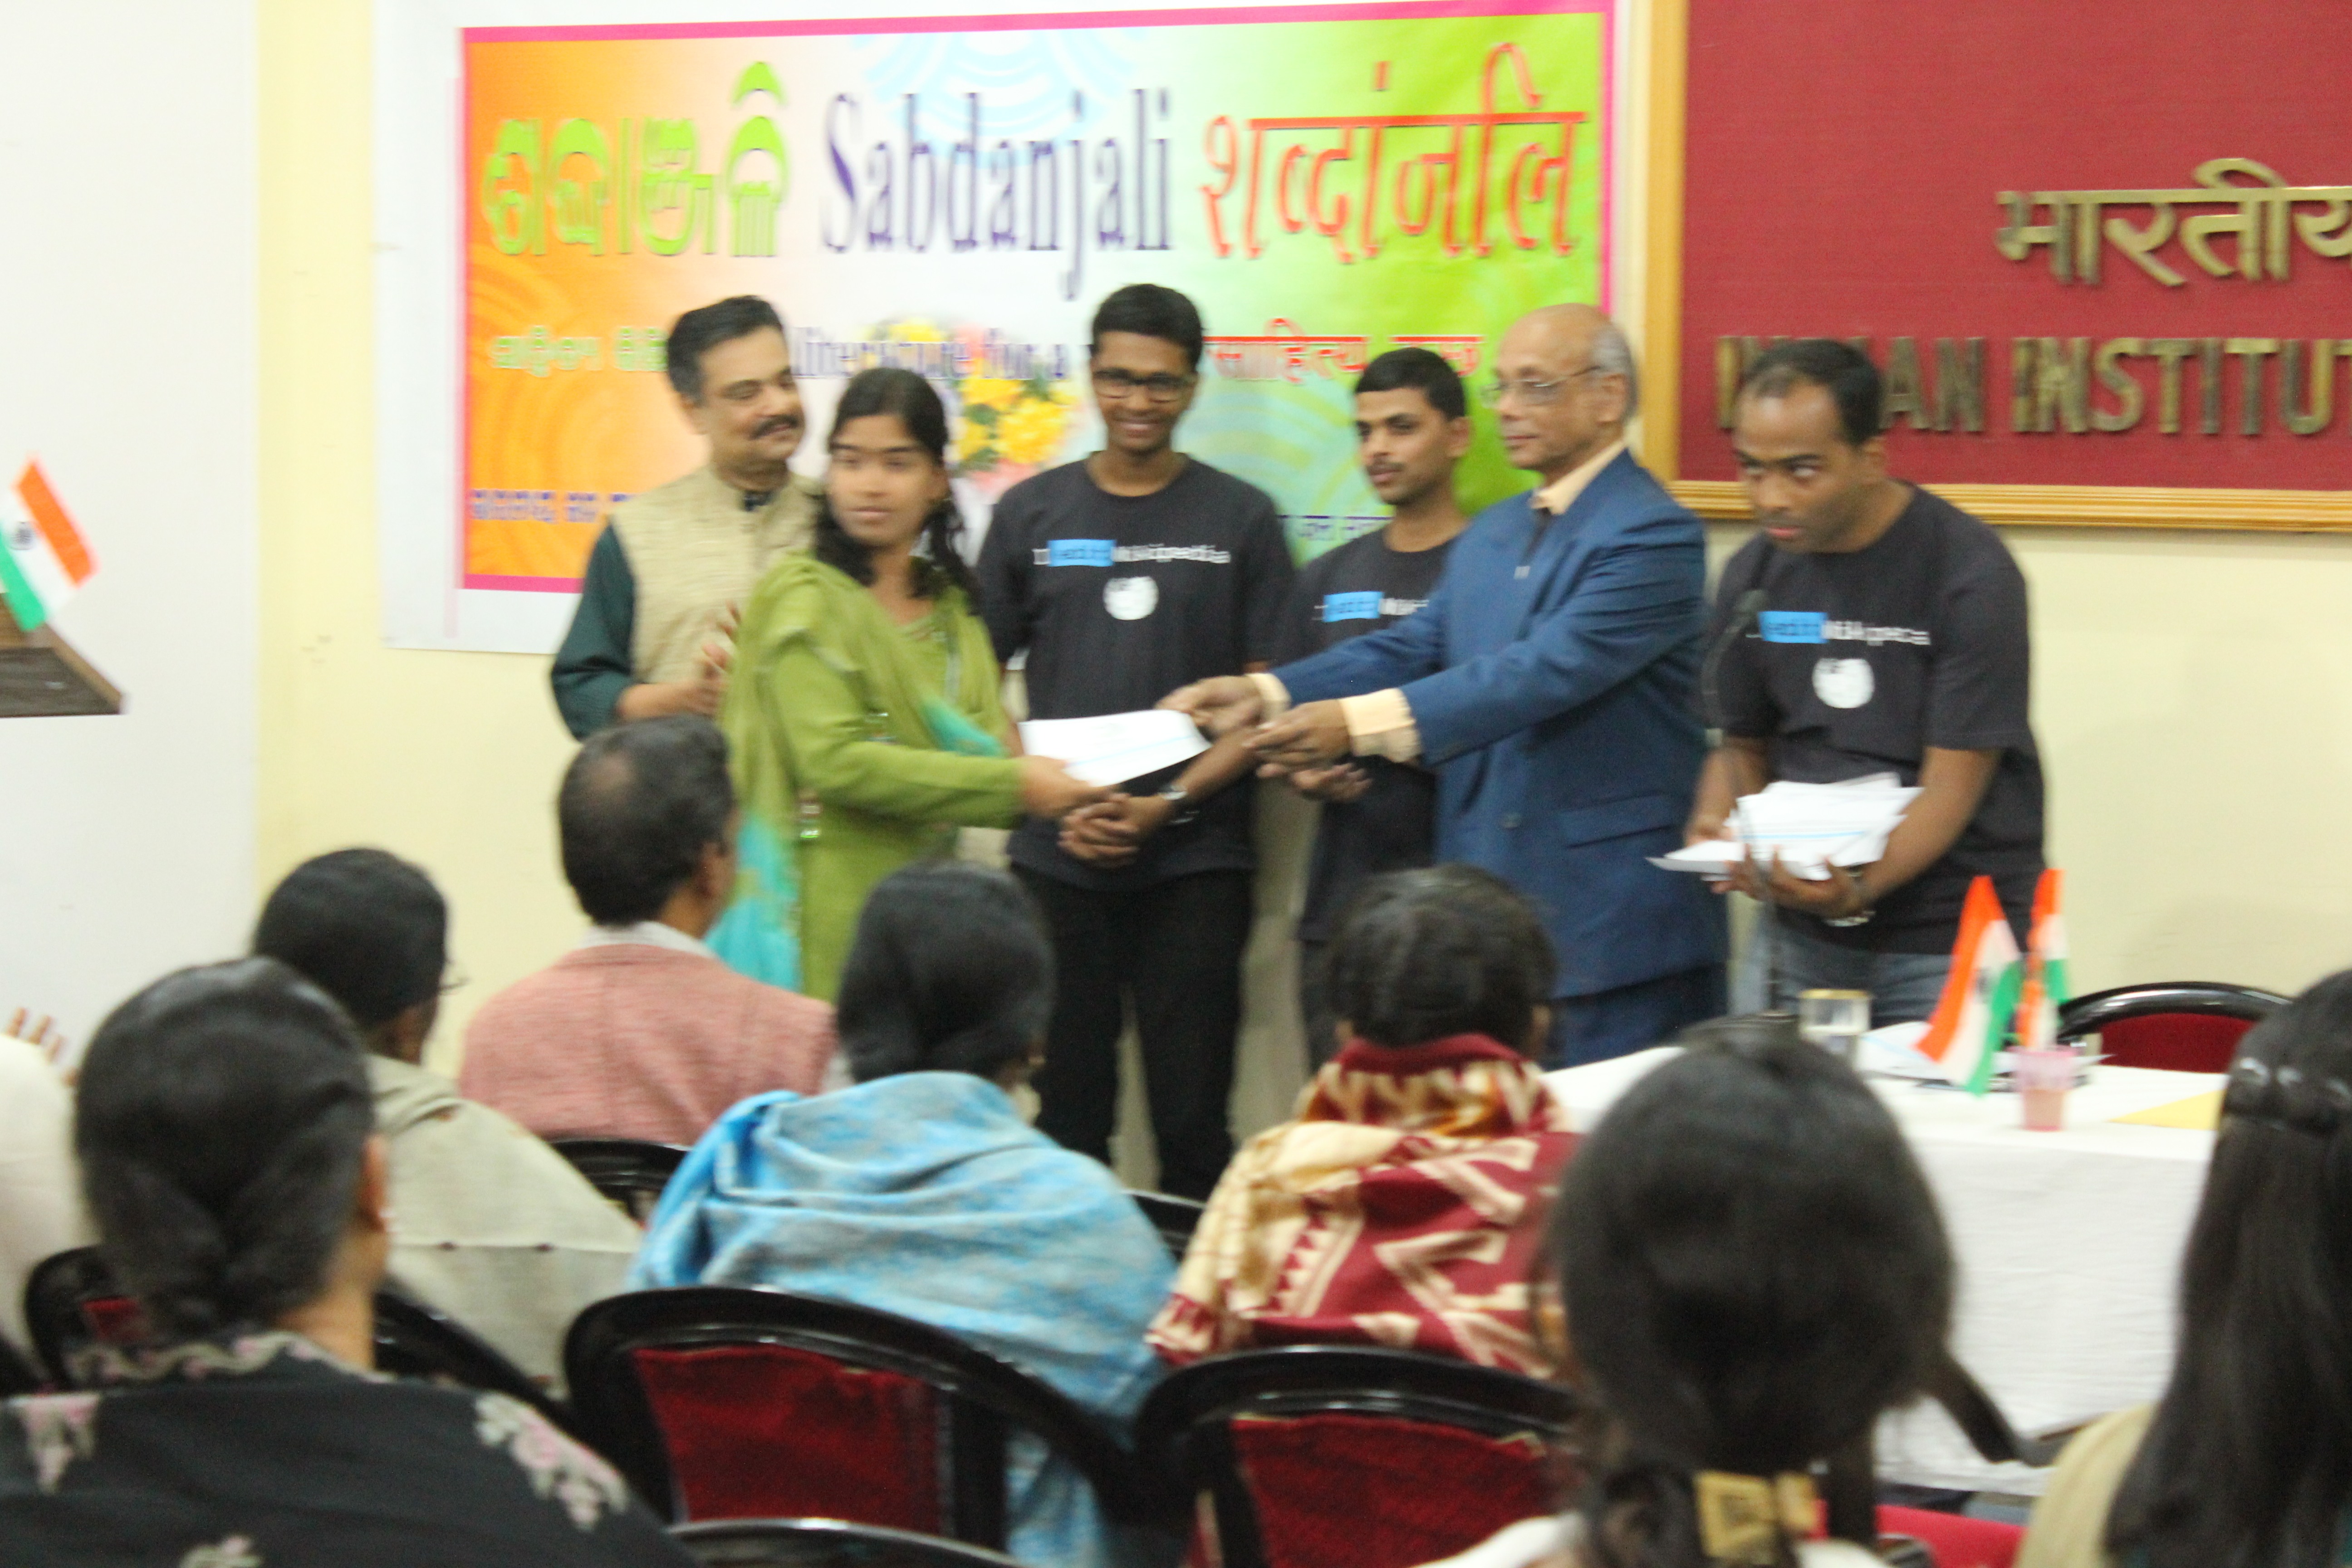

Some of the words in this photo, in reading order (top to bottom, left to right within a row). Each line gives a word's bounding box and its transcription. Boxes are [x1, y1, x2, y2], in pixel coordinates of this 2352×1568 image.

[810, 84, 1180, 313] Sabdanjali
[1194, 37, 1595, 273] शब्दांजलि
[1989, 150, 2346, 299] भारतीय
[785, 321, 970, 386] literature
[972, 323, 1074, 393] for a
[1201, 309, 1378, 393] साहित्य
[1998, 327, 2341, 441] INSTITU